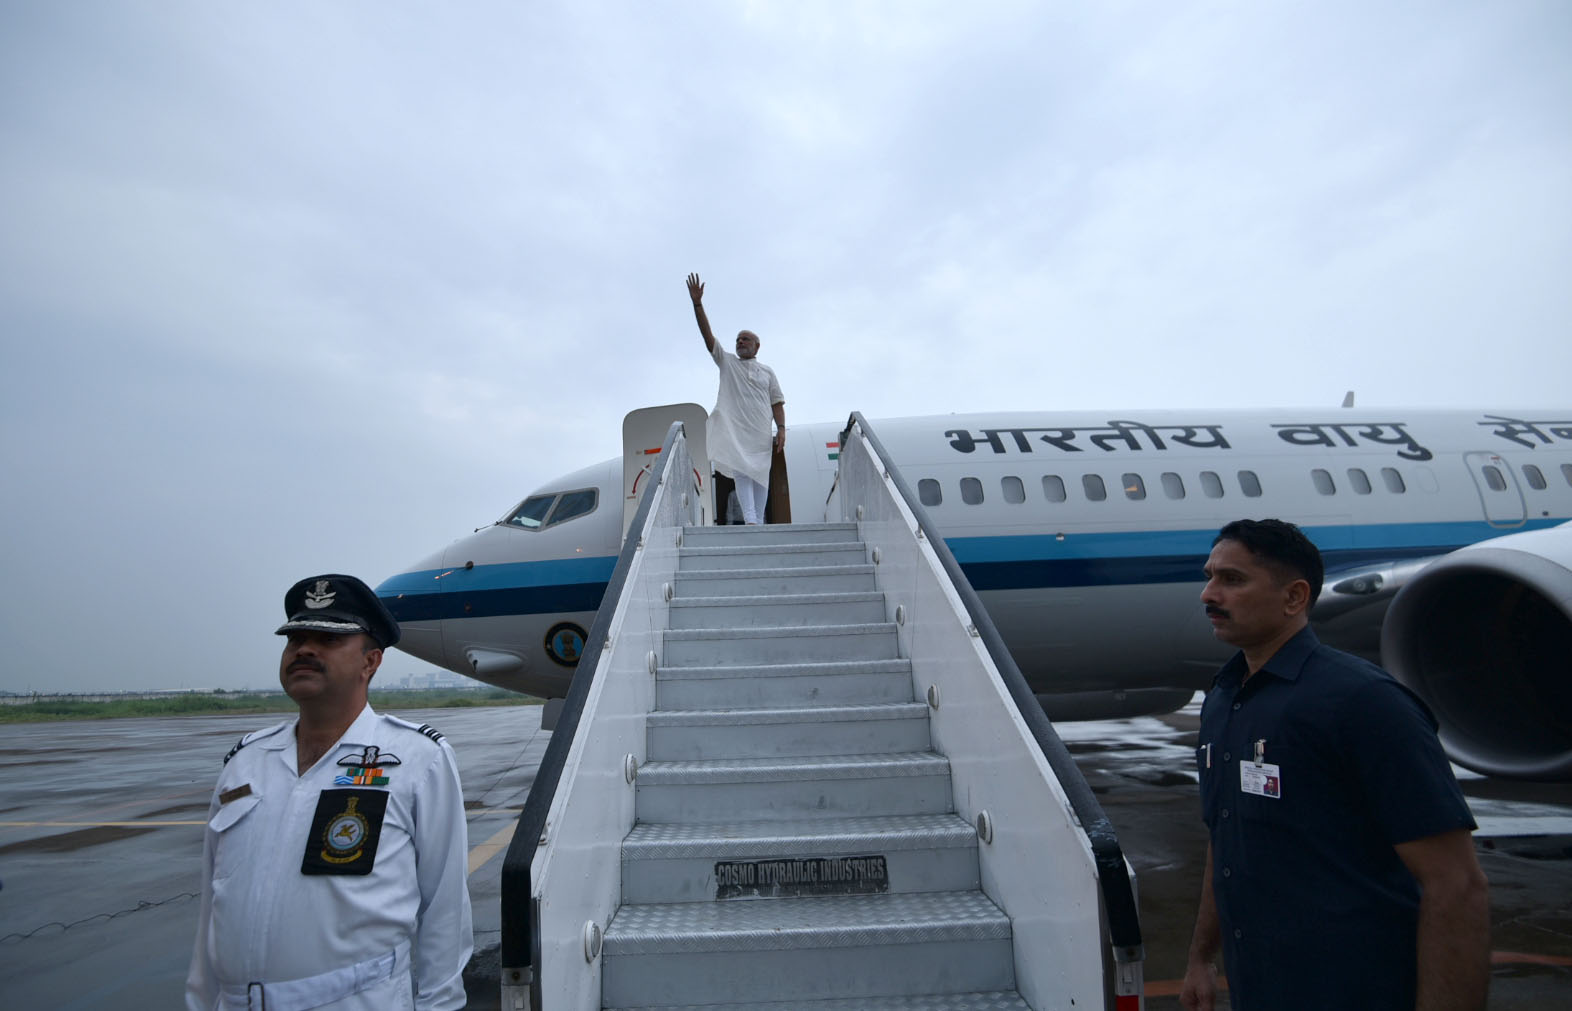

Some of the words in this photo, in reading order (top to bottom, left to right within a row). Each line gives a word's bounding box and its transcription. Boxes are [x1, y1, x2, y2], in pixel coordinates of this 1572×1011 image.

[942, 415, 1236, 458] भारतीय
[1269, 419, 1439, 463] वायु